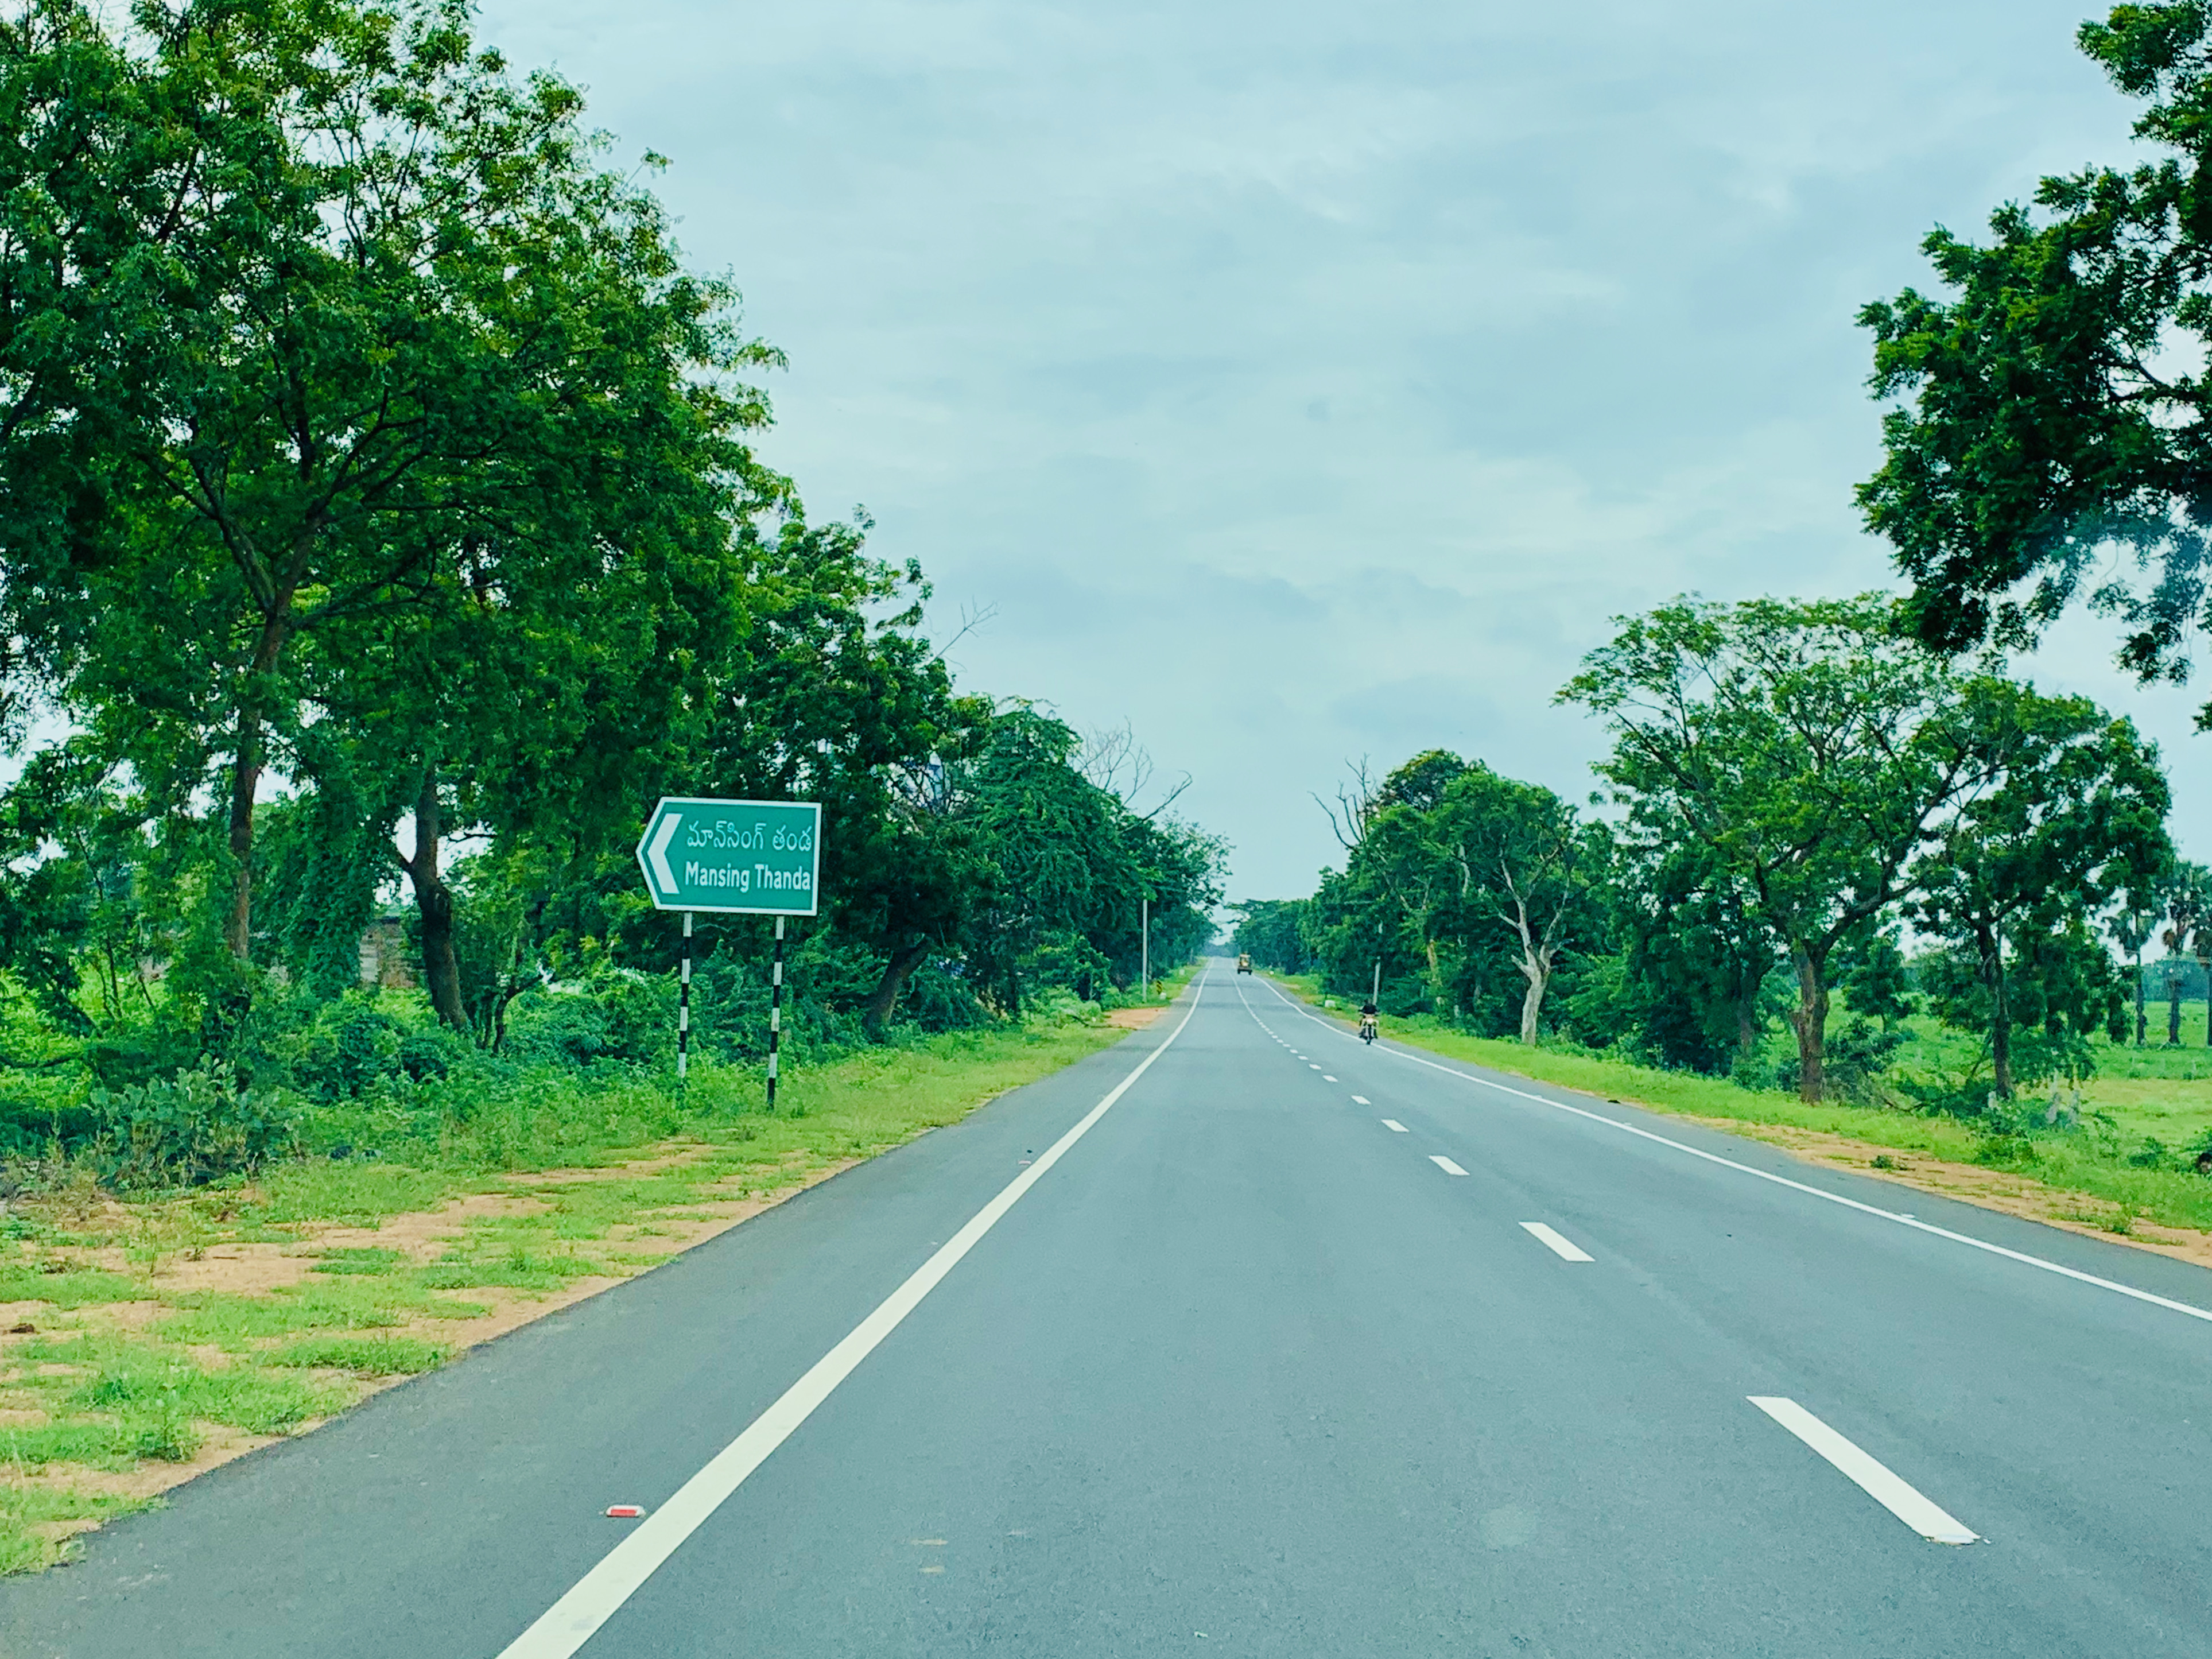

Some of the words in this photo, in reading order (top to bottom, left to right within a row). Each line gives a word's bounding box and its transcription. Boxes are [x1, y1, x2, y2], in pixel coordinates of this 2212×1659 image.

[684, 815, 771, 854] మాన్సింగ్
[770, 821, 817, 856] తండ
[683, 856, 753, 897] Mansing
[753, 860, 814, 893] Thanda